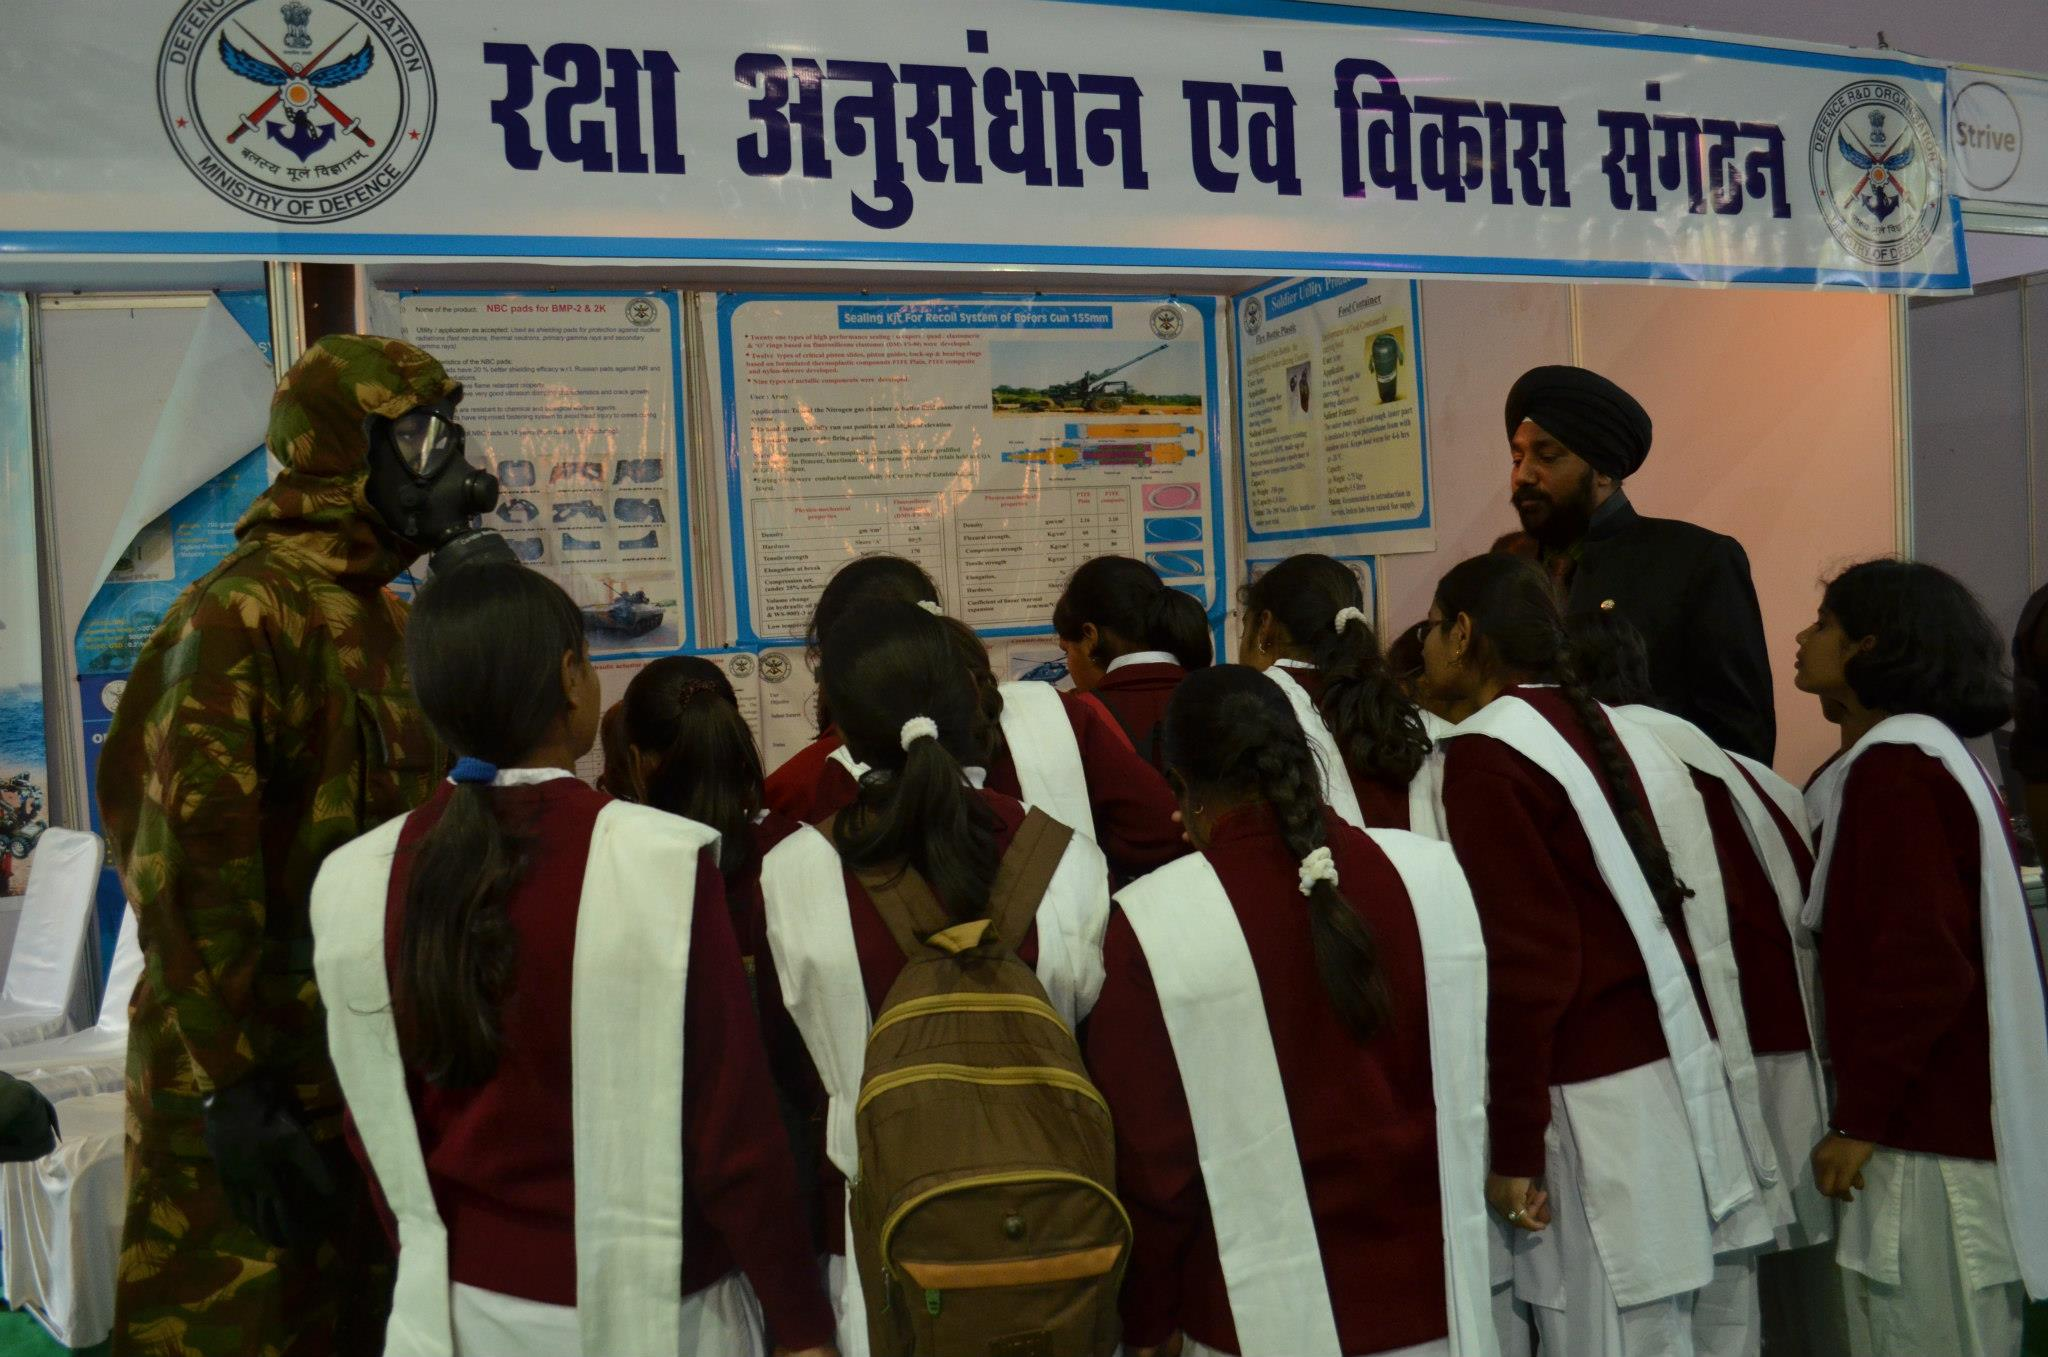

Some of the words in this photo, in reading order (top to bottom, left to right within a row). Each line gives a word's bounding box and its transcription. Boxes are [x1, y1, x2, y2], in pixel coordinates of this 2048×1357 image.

[164, 1, 228, 70] DEFEN
[466, 26, 699, 186] रक्षा
[721, 9, 1159, 237] अनुसंधान
[1174, 41, 1308, 201] एवं
[1319, 46, 1575, 210] विकास
[1586, 68, 1796, 222] संगठन
[1944, 112, 2027, 157] Strive
[185, 147, 291, 217] MINISTRY
[310, 155, 406, 224] DEFENCE
[280, 192, 317, 219] OF
[839, 307, 887, 329] Sealing
[879, 308, 906, 326] kjt
[903, 310, 925, 325] For
[921, 307, 961, 327] Recoil
[955, 308, 1001, 329] System
[993, 307, 1015, 327] OF
[1010, 306, 1051, 329] Befors
[1045, 309, 1073, 328] Gun
[1067, 308, 1113, 329] 155mm